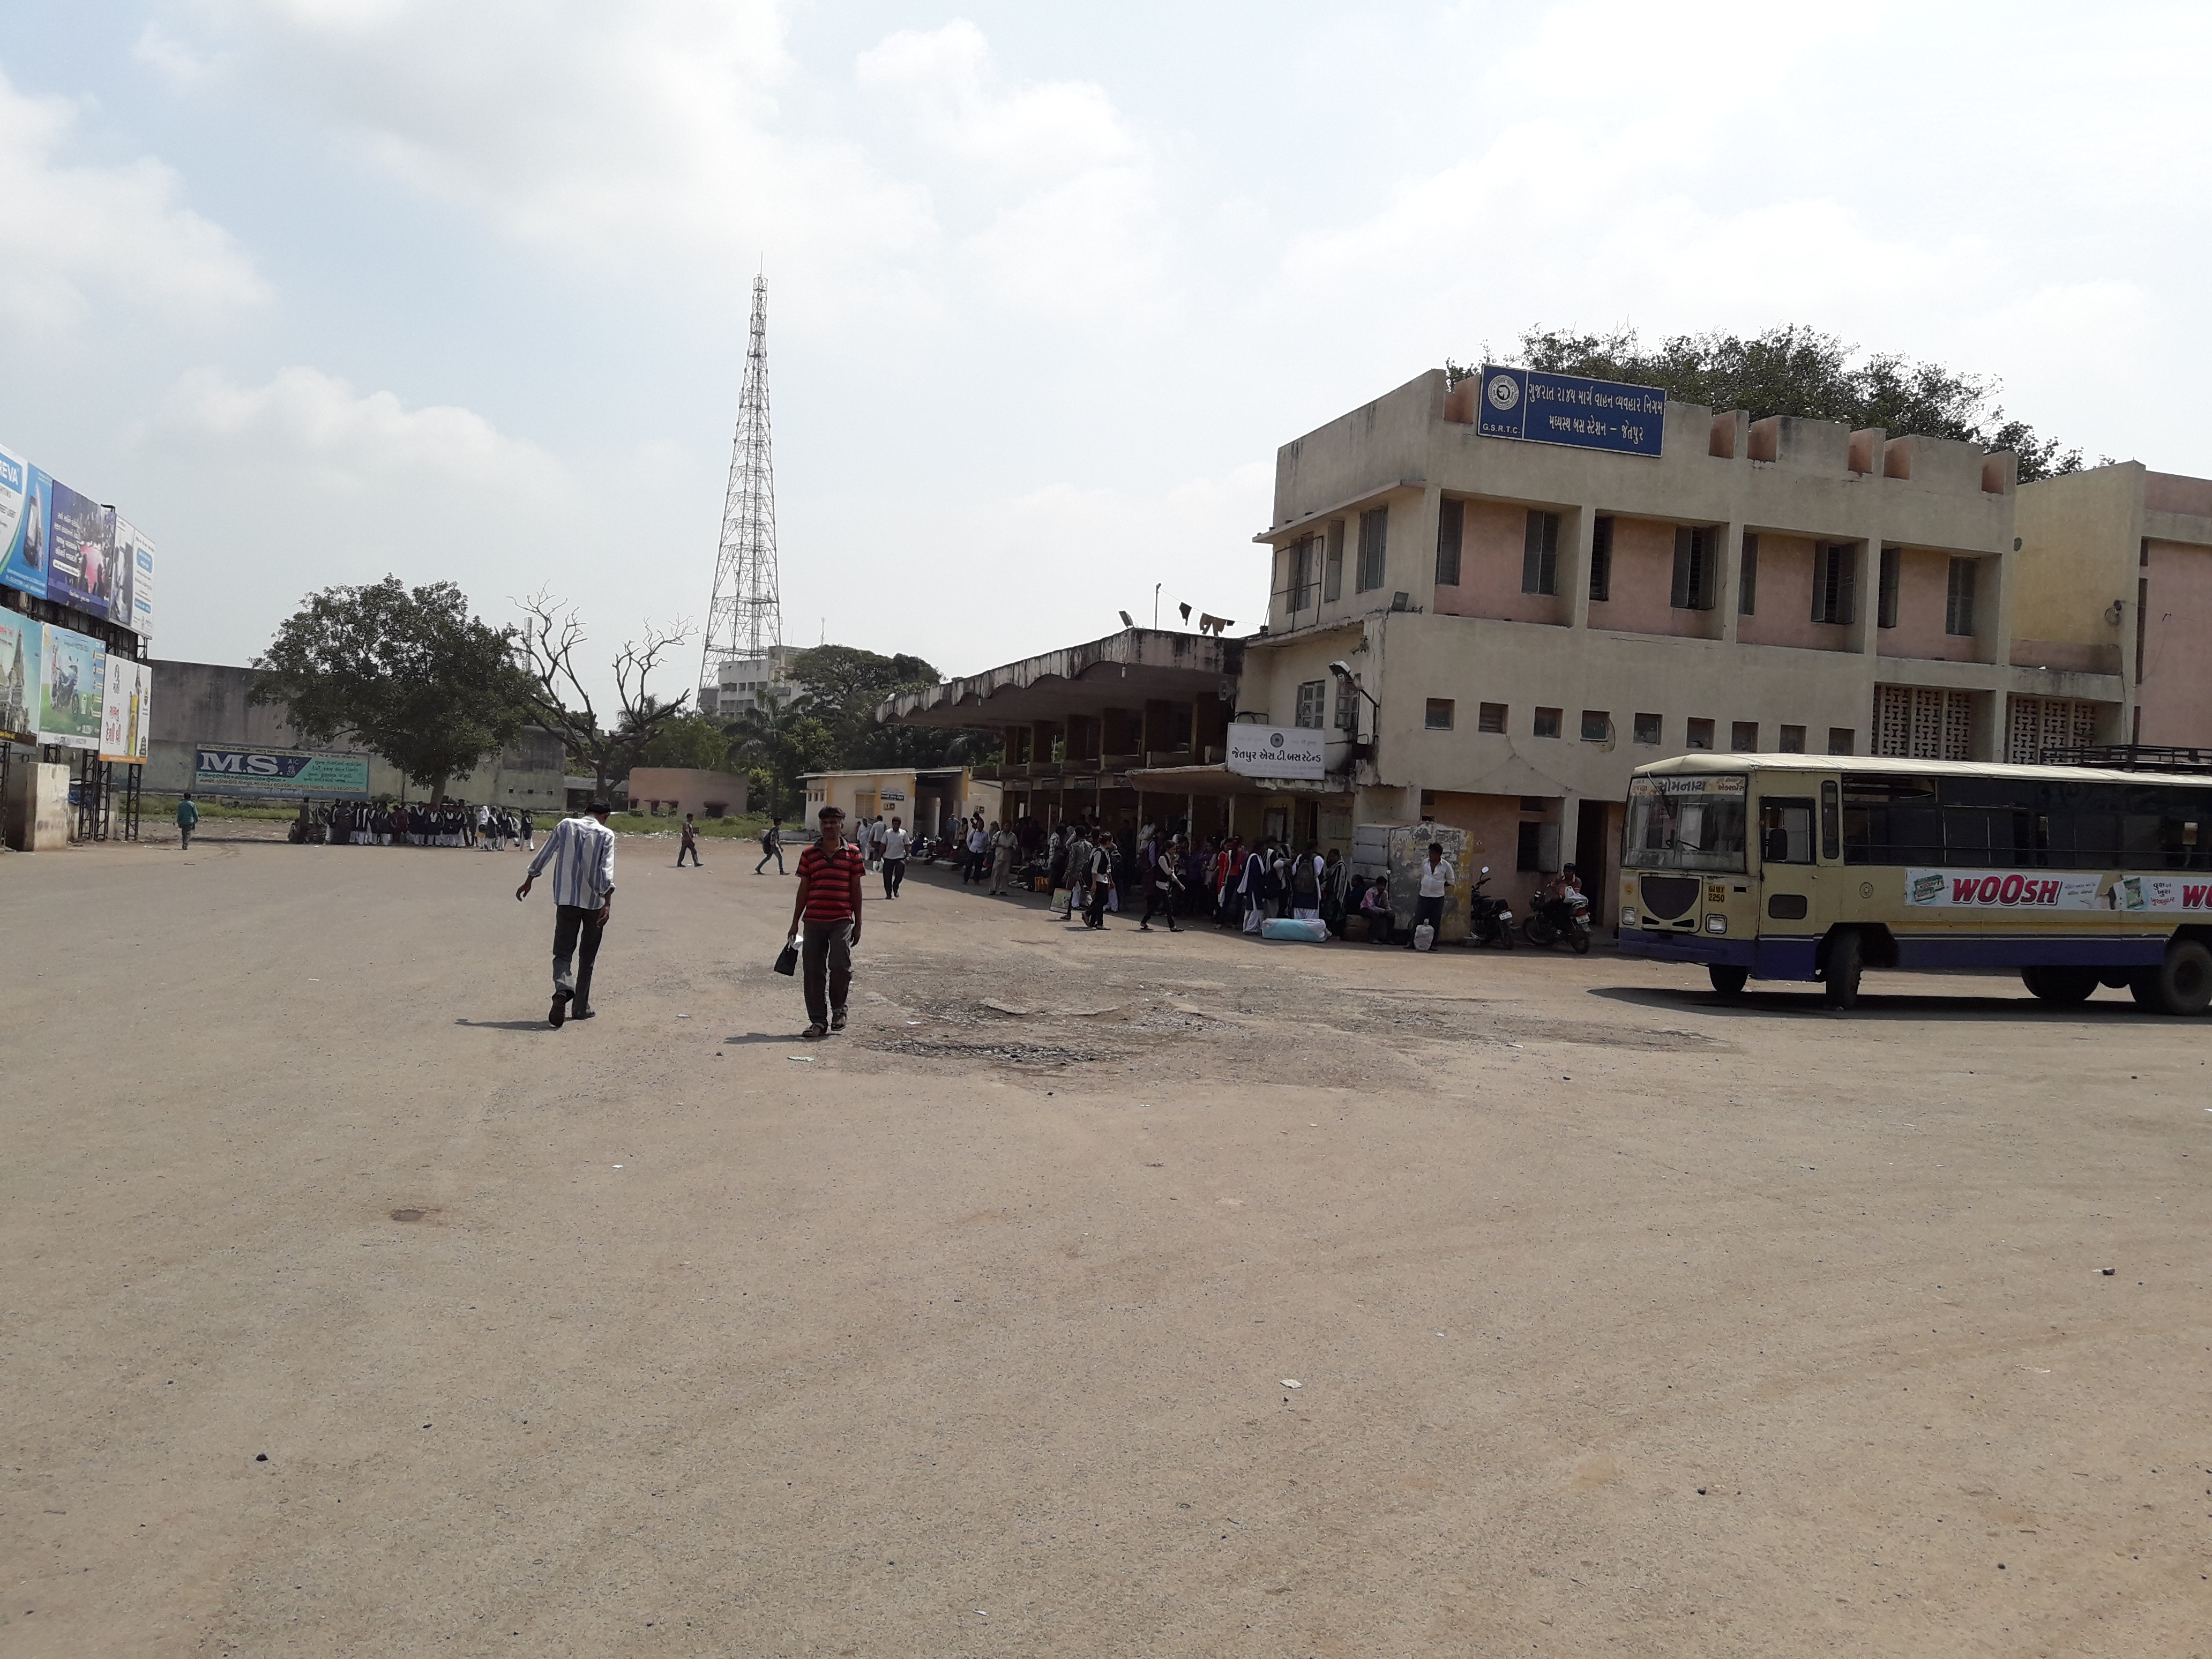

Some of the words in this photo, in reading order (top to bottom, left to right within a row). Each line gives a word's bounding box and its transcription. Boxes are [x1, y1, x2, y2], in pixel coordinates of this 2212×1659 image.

[1527, 382, 1556, 403] ગુજ૨ાત
[1555, 385, 1576, 406] ૨ાજય
[1576, 384, 1595, 407] માર્ગ
[1594, 391, 1615, 409] વાહન
[1613, 393, 1642, 415] વ્યવહા૨
[1642, 392, 1664, 417] નિગમ
[1480, 422, 1520, 436] G.S.R.T.C.
[1546, 413, 1571, 431] મઘ્યસ્થ
[1571, 415, 1586, 434] બસ
[1586, 412, 1609, 438] સ્ટેશન
[1619, 416, 1646, 446] જેતપુ૨
[0, 459, 21, 486] EVA
[198, 750, 285, 775] M.S.
[1229, 745, 1258, 764] જેતપુર
[1257, 746, 1276, 760] એસ
[1275, 748, 1287, 761] ટી
[1286, 751, 1302, 763] બસ
[1301, 749, 1322, 764] ર૮ેન્ડ
[1655, 776, 1708, 793] સોમનાથ
[1707, 892, 1726, 903] 2250
[1949, 870, 2060, 908] WOOSH
[2180, 883, 2210, 909] W